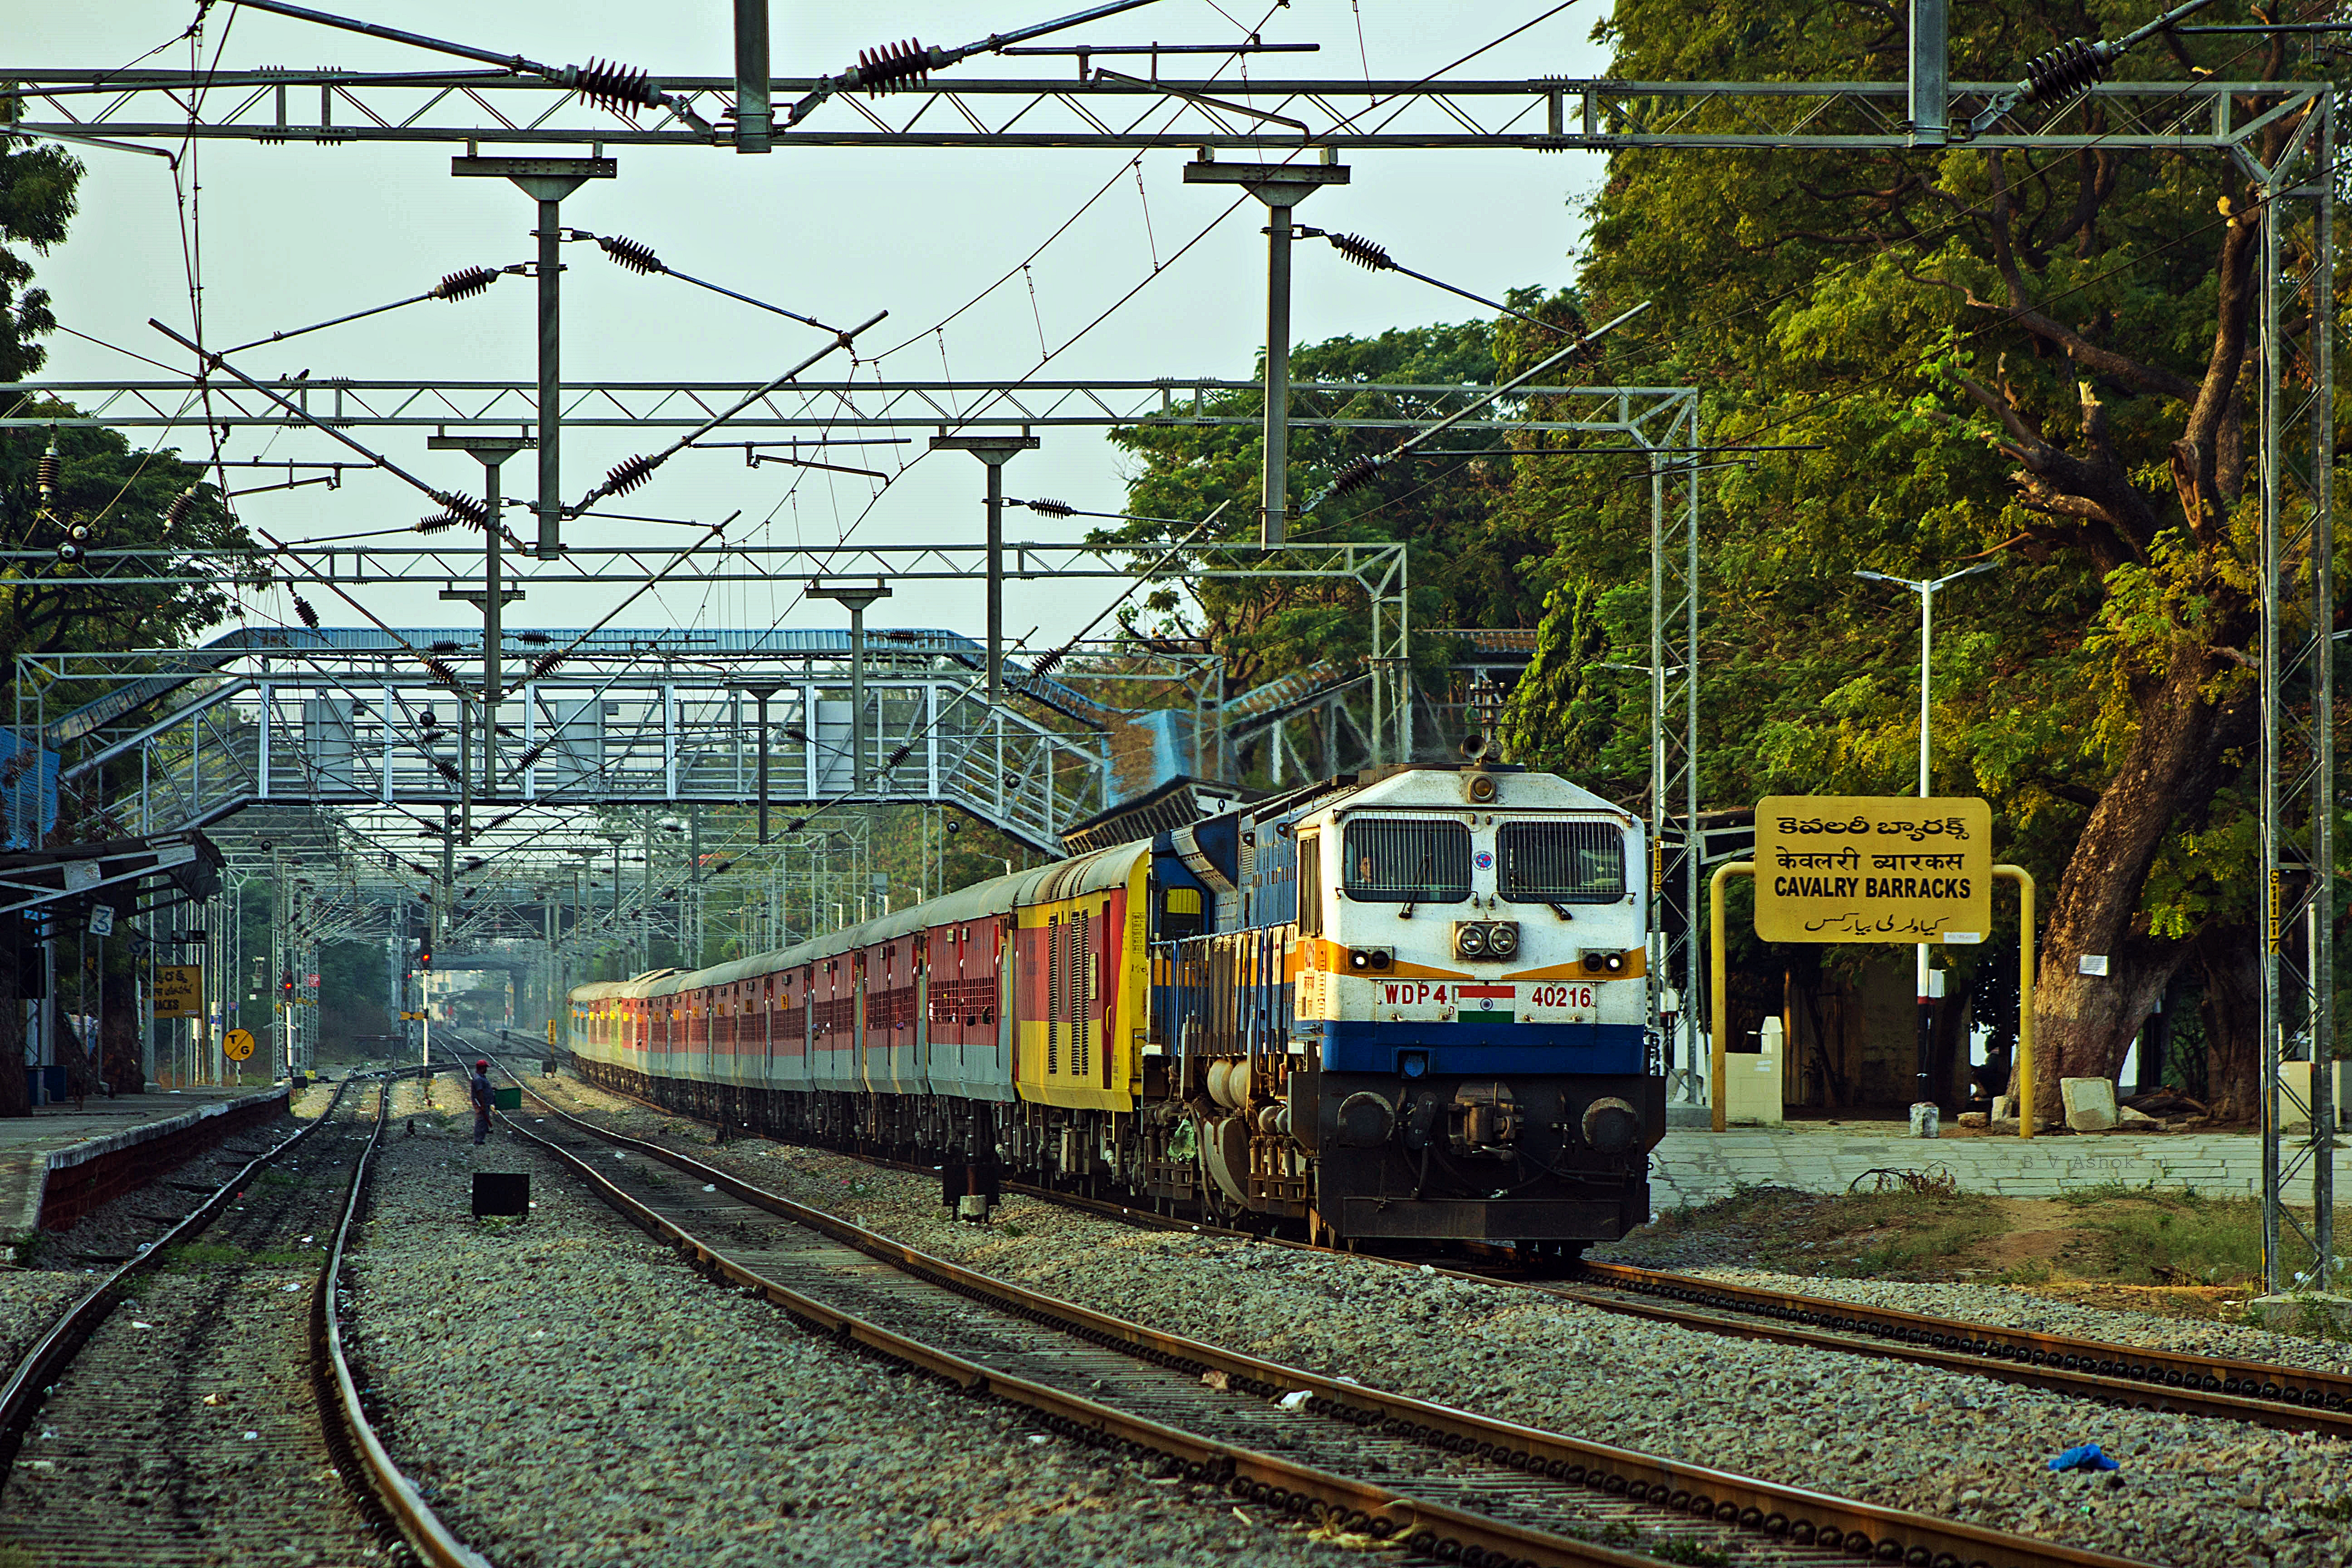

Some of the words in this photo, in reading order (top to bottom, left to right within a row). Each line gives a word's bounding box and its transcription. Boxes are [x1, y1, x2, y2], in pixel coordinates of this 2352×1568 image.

[1776, 813, 1875, 837] కెవలరీ
[1874, 814, 1971, 844] బ్యారక్స్
[1769, 838, 1862, 872] केवलरी
[1870, 851, 1966, 872] ब्यारकस
[1772, 872, 1861, 899] CAVALRY
[1862, 873, 1974, 901] BARRACKS
[1379, 978, 1449, 1011] WDP4
[1531, 980, 1594, 1012] 40216